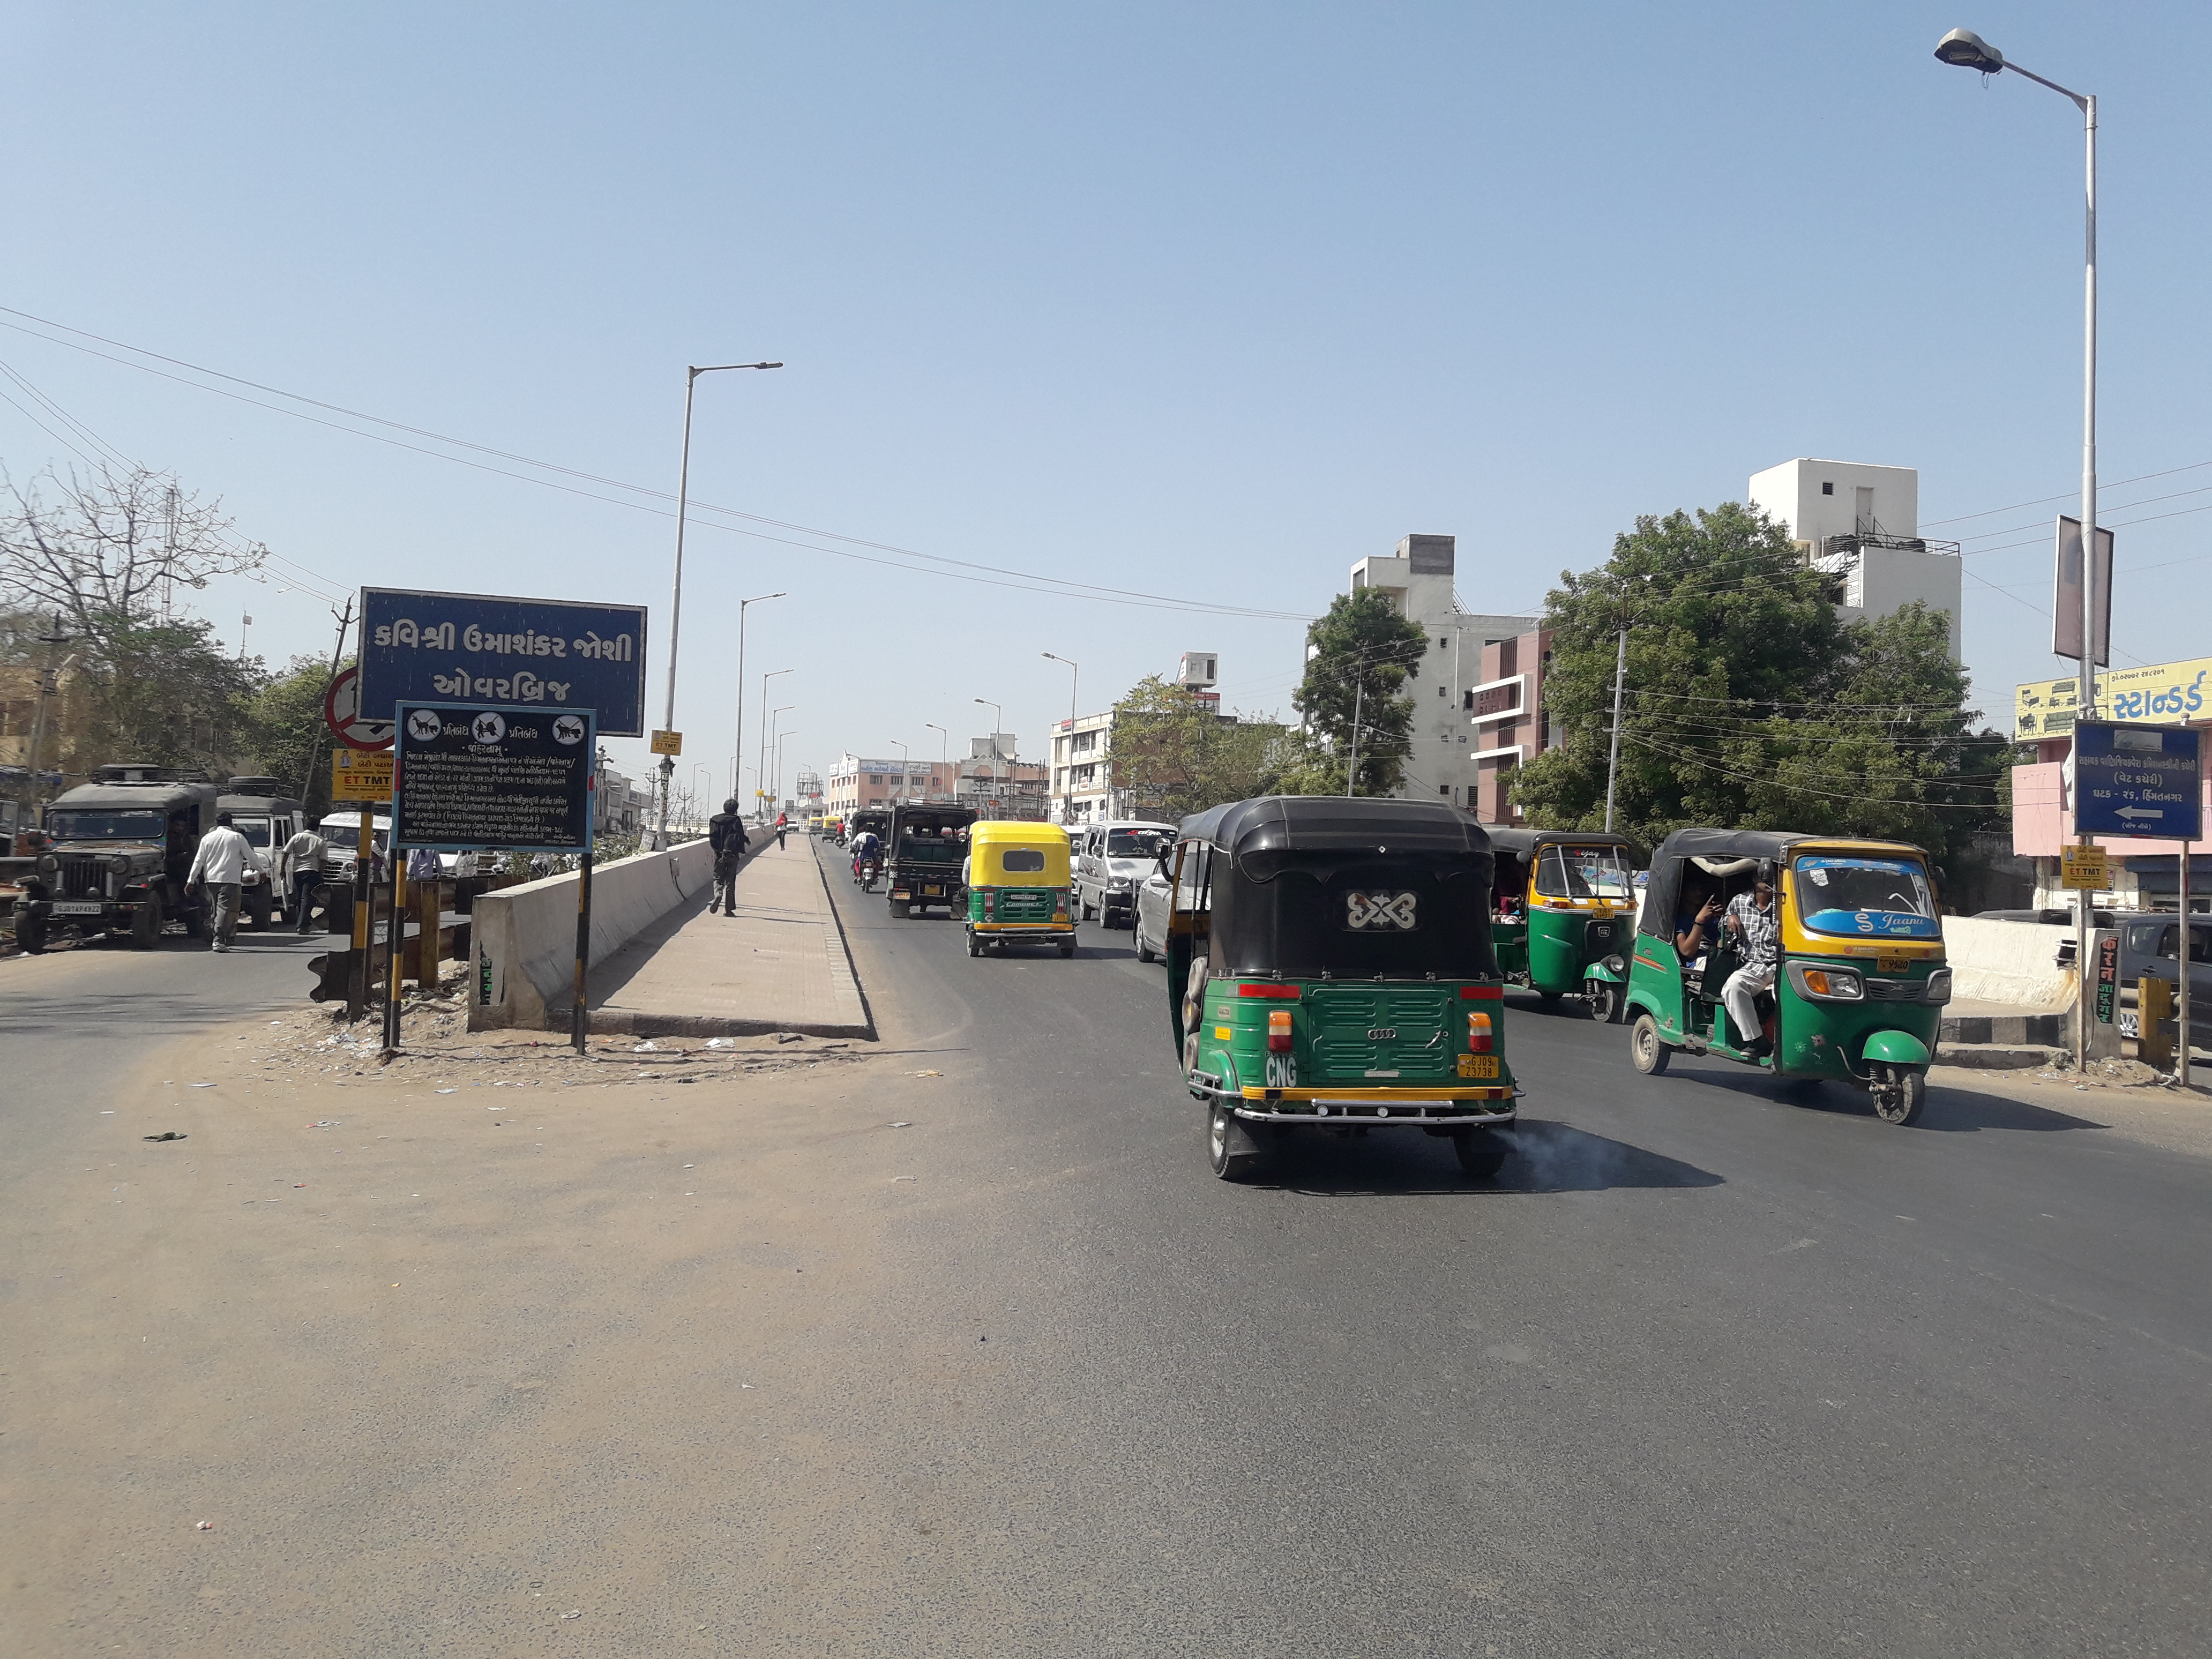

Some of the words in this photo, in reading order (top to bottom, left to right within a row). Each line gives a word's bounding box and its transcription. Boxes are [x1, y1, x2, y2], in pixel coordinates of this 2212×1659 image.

[371, 614, 460, 659] કવિશ્રી
[460, 614, 570, 662] ઉમાશંકર
[568, 627, 638, 664] જોશી
[431, 661, 576, 709] ઓવરબ્રિજ
[2108, 664, 2209, 721] સ્ટાન્ડર્ડ
[440, 720, 470, 738] પ્રતિબંધ
[505, 722, 541, 745] પ્રતિબંધ
[343, 775, 361, 787] ET
[360, 775, 392, 786] TMT
[2115, 768, 2136, 787] વેટ
[2134, 769, 2161, 787] કચેરી
[2089, 786, 2112, 802] દ્યટક
[2120, 787, 2136, 802] २ऽ
[2139, 786, 2186, 804] હિંમતનગર
[1850, 911, 1878, 936] S
[1875, 911, 1928, 931] Jaanu
[2098, 935, 2117, 982] करन
[2095, 983, 2117, 1025] जादूगर
[1467, 1055, 1494, 1067] GJ09
[1463, 1066, 1494, 1078] Z3738